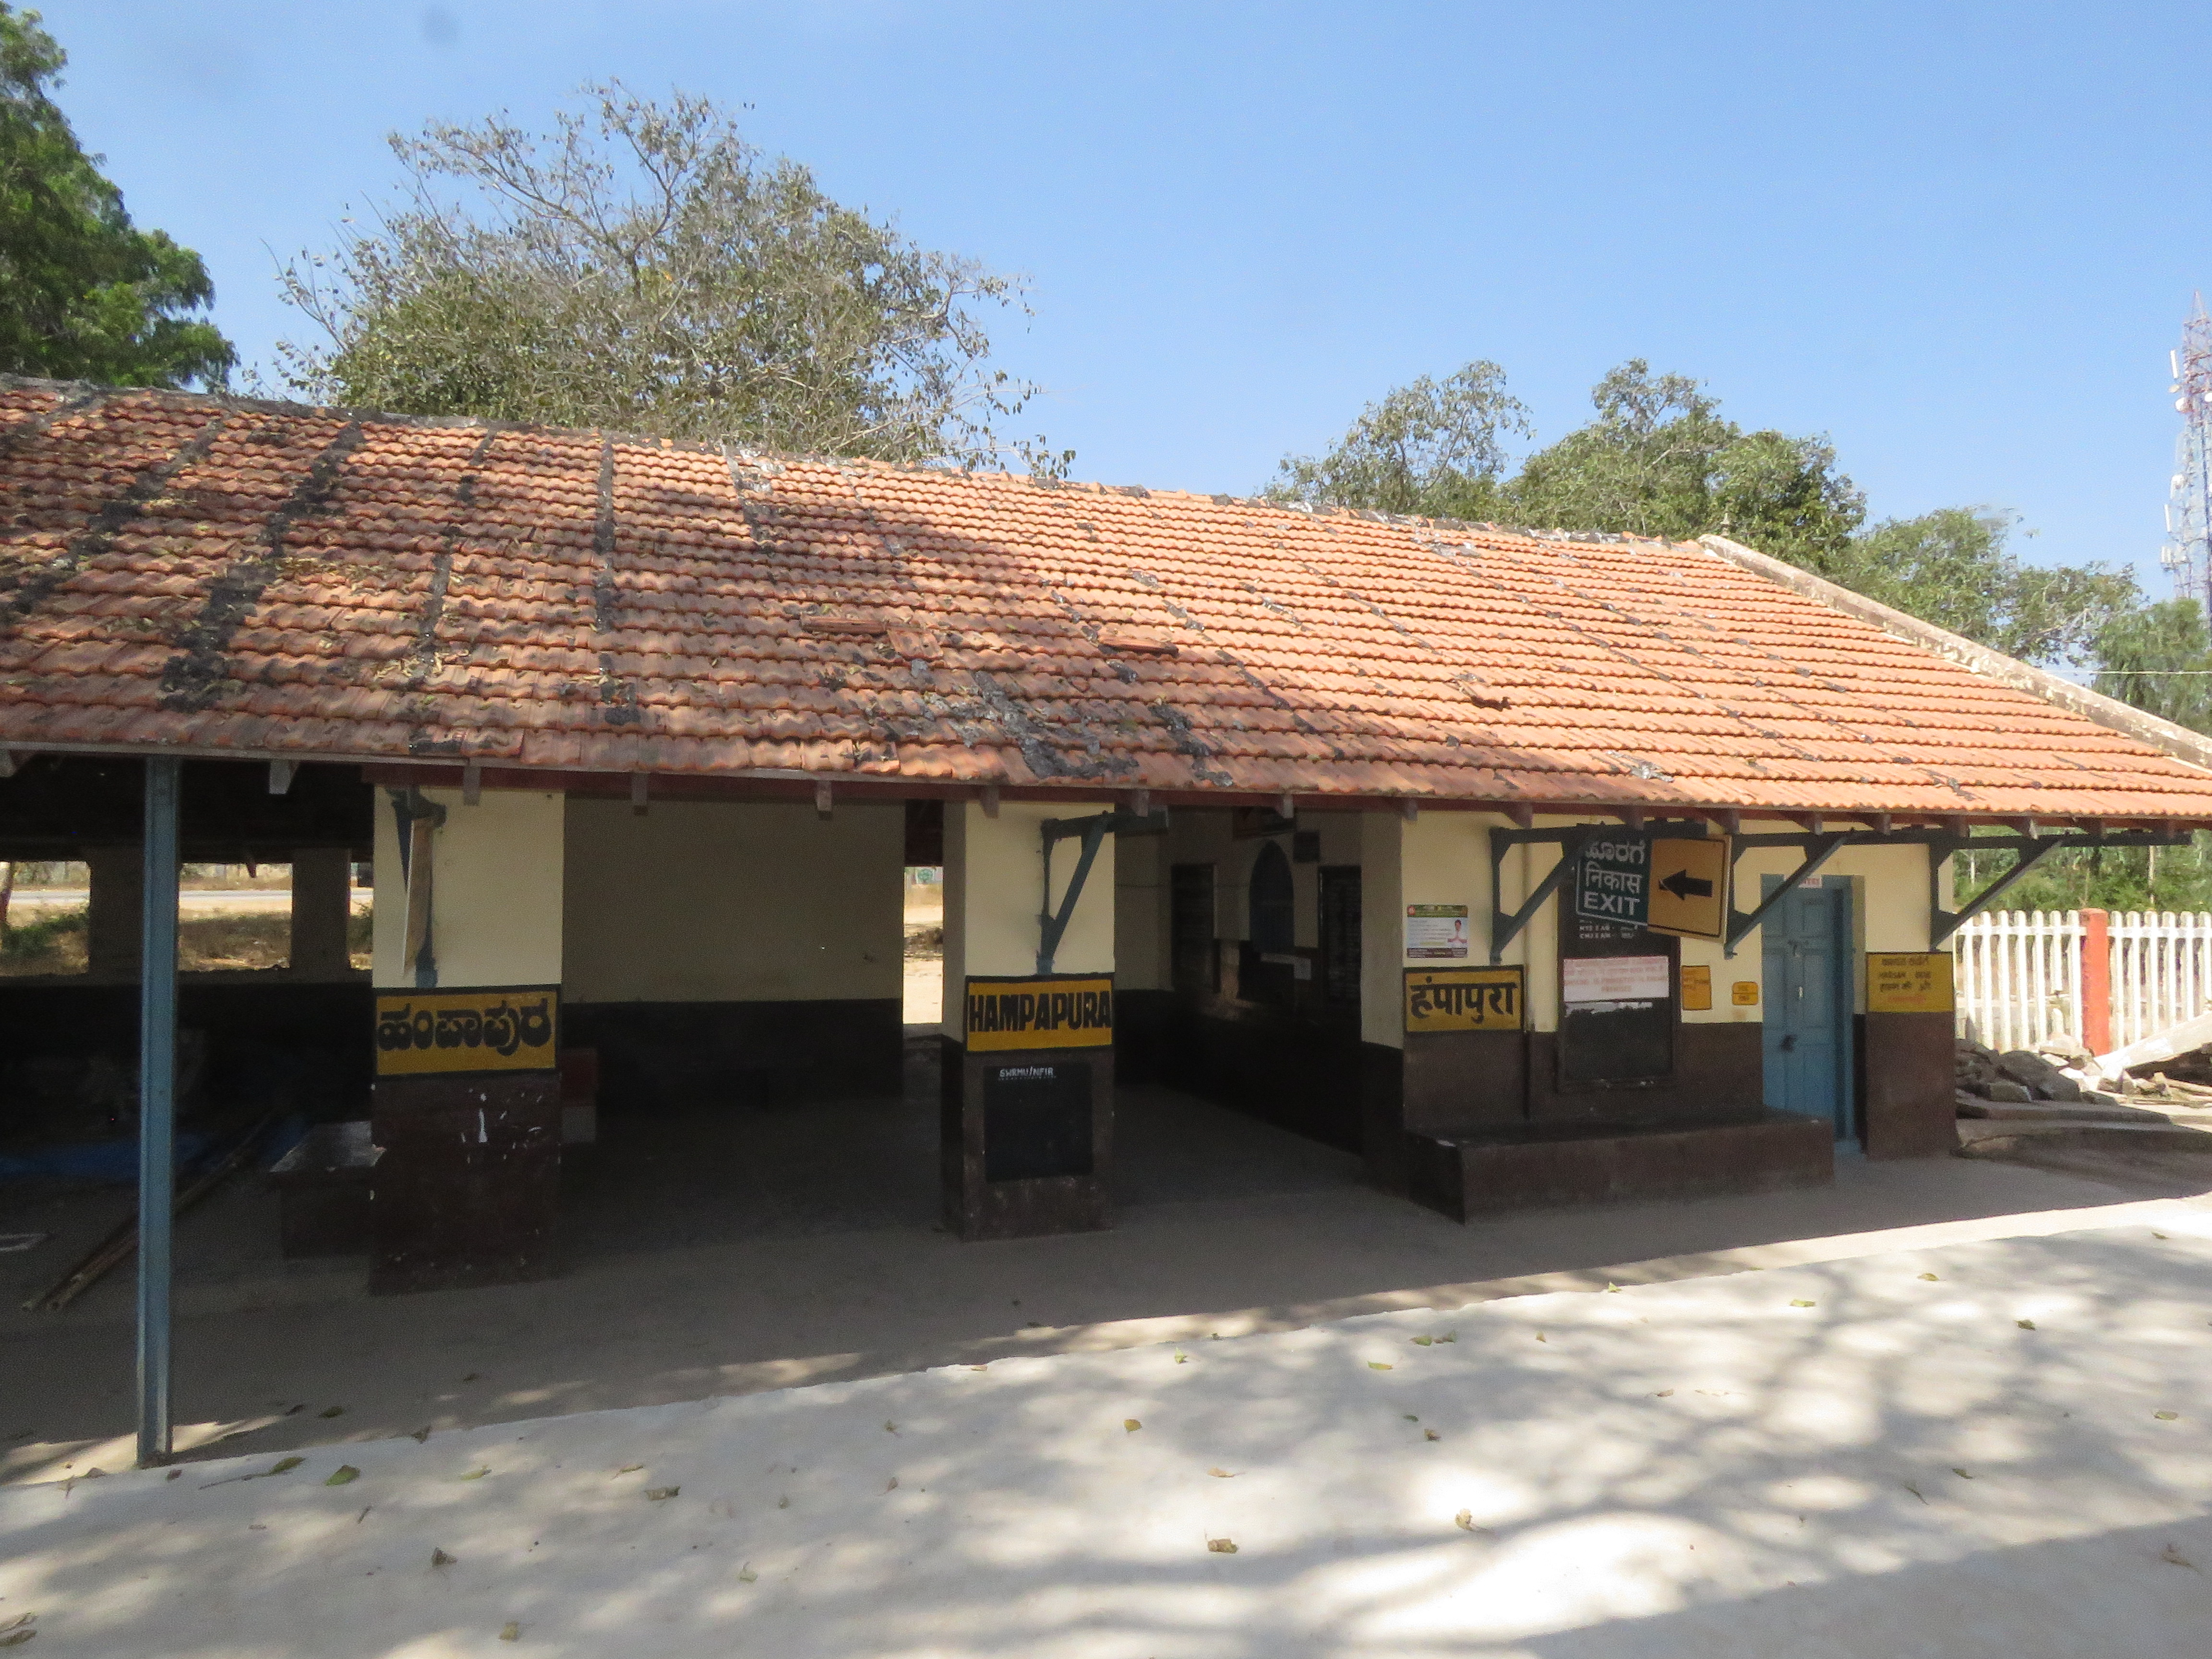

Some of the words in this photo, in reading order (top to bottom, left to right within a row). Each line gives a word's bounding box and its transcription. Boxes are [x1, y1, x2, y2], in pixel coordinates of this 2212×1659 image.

[1581, 884, 1640, 919] EXIT
[1580, 854, 1648, 897] निकास
[1579, 834, 1650, 870] ಹೊರಗೆ
[372, 994, 556, 1062] ಹಂಪಾಪುರ
[961, 983, 1114, 1035] HAMPAPURA
[1406, 967, 1518, 1027] हंपापुरा